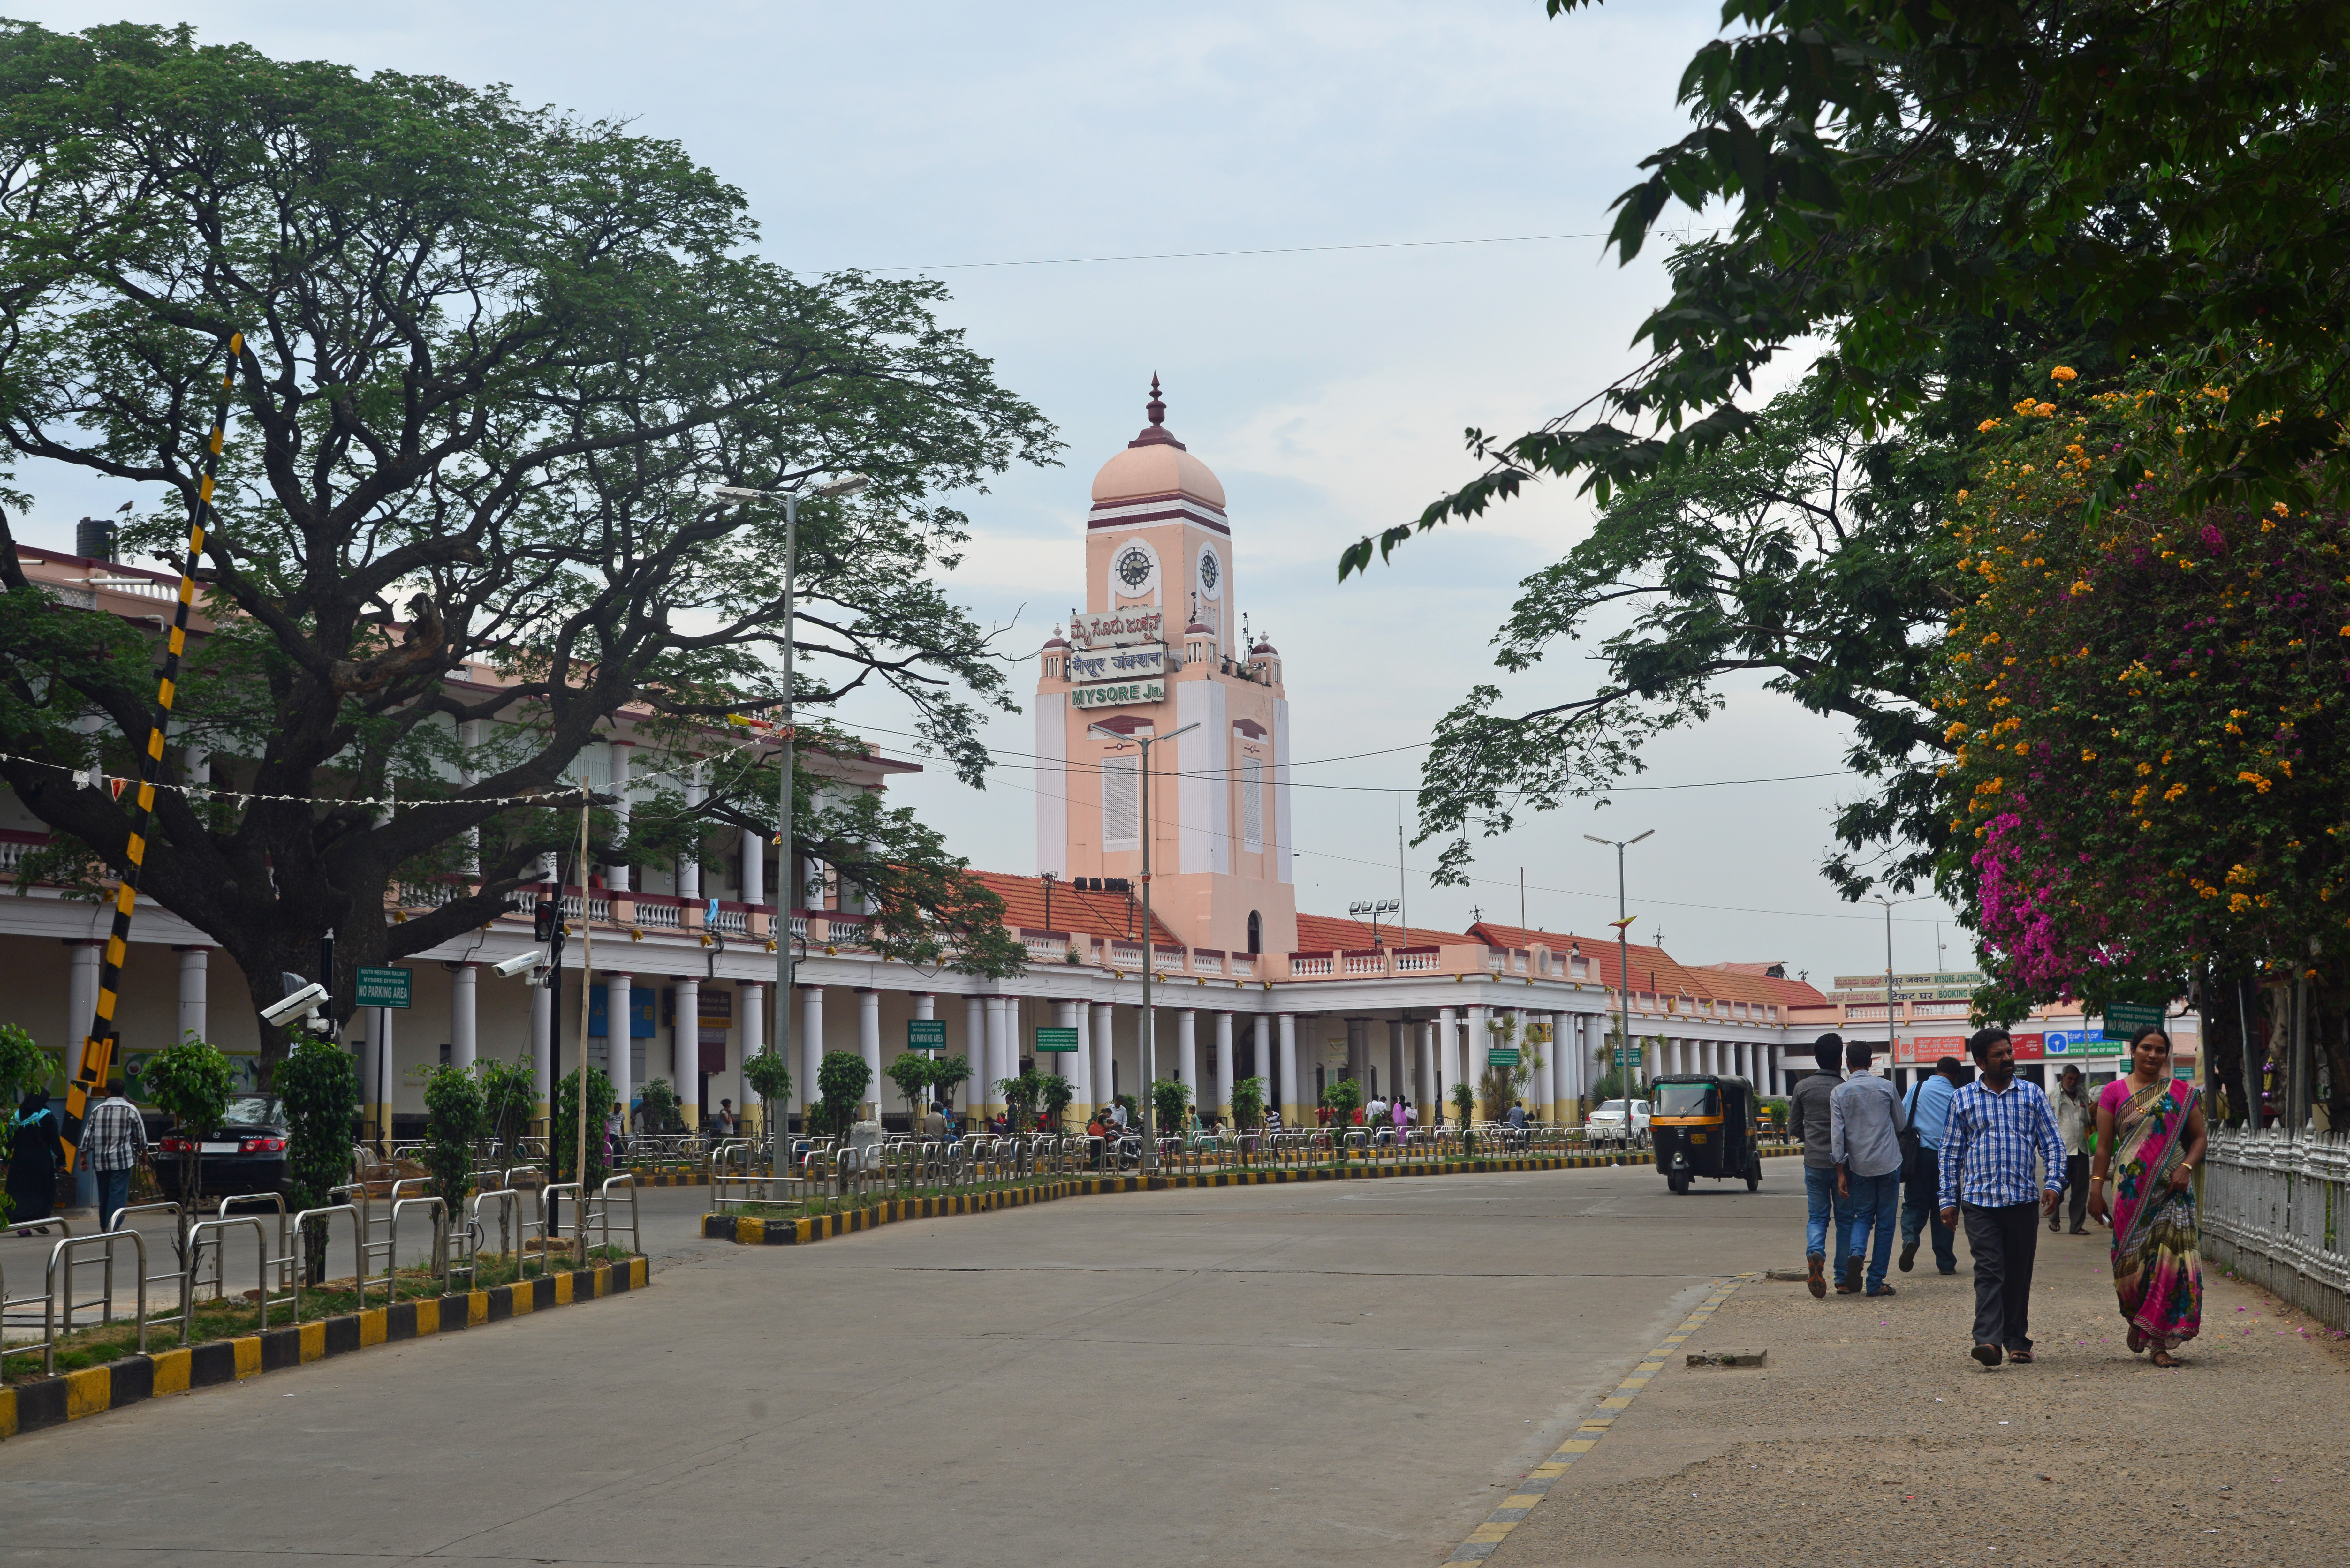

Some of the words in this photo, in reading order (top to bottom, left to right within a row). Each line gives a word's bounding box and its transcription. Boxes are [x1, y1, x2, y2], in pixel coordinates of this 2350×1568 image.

[1070, 613, 1126, 648] ಮೈಸೂರು
[1124, 610, 1162, 641] ಜಂಕ್ಷನ್
[1109, 648, 1161, 670] जंक्शन
[1068, 653, 1105, 678] मैसूर
[1070, 684, 1141, 706] MYSORE
[1142, 682, 1165, 700] Jn.
[1833, 975, 1861, 988] ಮೈಸೂರು
[1861, 975, 1883, 988] ಜಂಕ್ಷನ್
[1883, 974, 1905, 988] मैसूर
[1905, 973, 1931, 984] जक्शंन
[1933, 973, 1957, 984] MYSORE
[1955, 971, 1984, 984] JUNCTION
[698, 992, 721, 1005] नैशनल
[718, 992, 731, 1005] बैंक
[1826, 991, 1846, 1003] ಟಕೇಟ್
[1843, 991, 1865, 1003] ಕೊಡುವ
[1864, 989, 1881, 1002] ಕಛೇರಿ
[1885, 987, 1916, 1002] टिकट
[1919, 991, 1934, 1001] घर
[1938, 987, 1969, 999] BOOKING
[698, 1002, 719, 1012] national
[717, 1005, 730, 1012] bank
[2108, 1003, 2125, 1012] SOUTH
[2111, 1012, 2134, 1020] MYSORE
[2123, 1005, 2143, 1014] WESTERN
[2134, 1012, 2157, 1022] DIVISION
[2142, 1007, 2162, 1015] RAILWAY
[910, 1021, 921, 1027] SOUTH
[912, 1027, 927, 1033] MYSORE
[919, 1022, 932, 1028] WESTERN
[925, 1028, 942, 1033] DIVISION
[930, 1022, 942, 1026] RAILWAY
[2104, 1019, 2119, 1033] NO
[2116, 1019, 2144, 1035] PARKING
[908, 1033, 917, 1044] NO
[914, 1033, 934, 1044] PARKING
[932, 1033, 944, 1044] AREA
[1915, 1042, 1929, 1050] बैंक
[1915, 1048, 1933, 1055] Bank
[1928, 1041, 1941, 1049] ऑफ
[1931, 1047, 1940, 1054] OF
[1931, 1037, 1943, 1045] ಆಫ್
[1939, 1047, 1961, 1054] Baroda
[1940, 1036, 1961, 1044] udara
[1942, 1041, 1960, 1049] बड़ौदा
[2029, 1047, 2038, 1052] ATM
[2067, 1029, 2082, 1043] ಸ್ಟೇಟ್
[2068, 1047, 2085, 1054] STATE
[2086, 1047, 2099, 1054] ANK
[2098, 1046, 2106, 1054] OF
[2105, 1046, 2121, 1053] INDIA